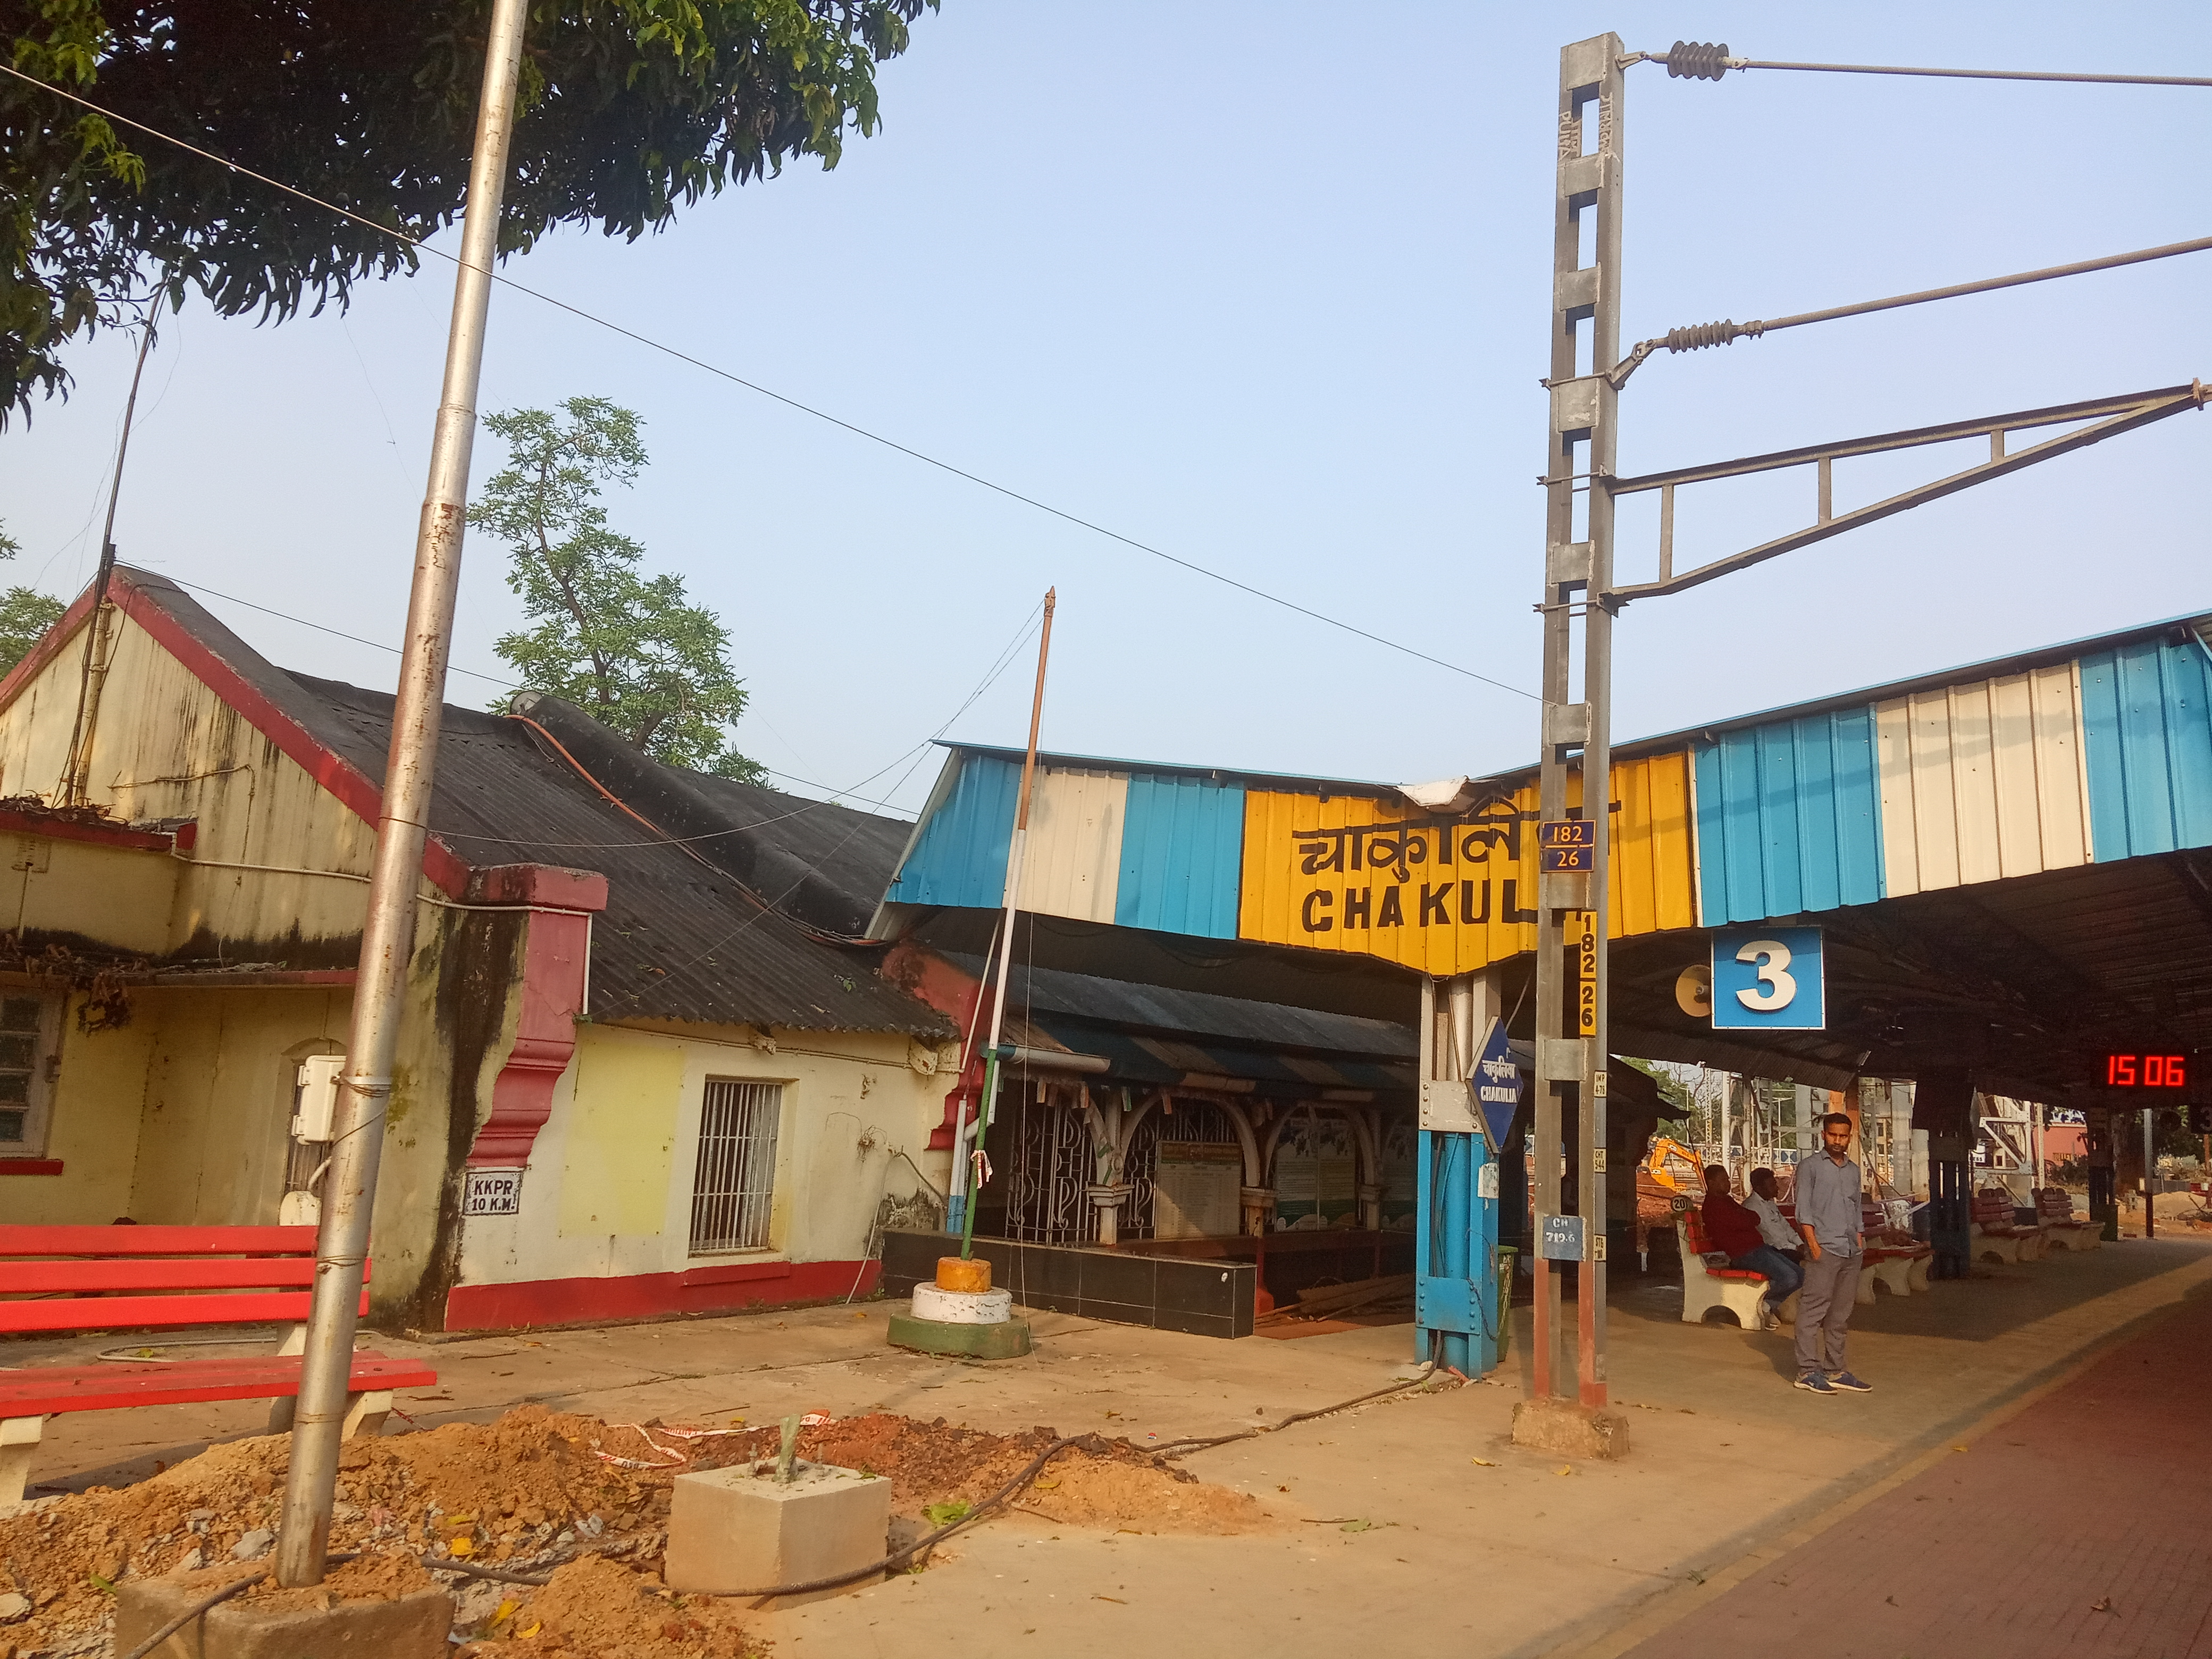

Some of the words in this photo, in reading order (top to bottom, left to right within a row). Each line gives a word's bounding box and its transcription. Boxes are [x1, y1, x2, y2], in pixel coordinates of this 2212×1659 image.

[1291, 794, 1542, 886] चाकुलि
[1300, 884, 1406, 934] CHA
[1419, 878, 1539, 928] KUL
[2101, 1046, 2189, 1093] 1506